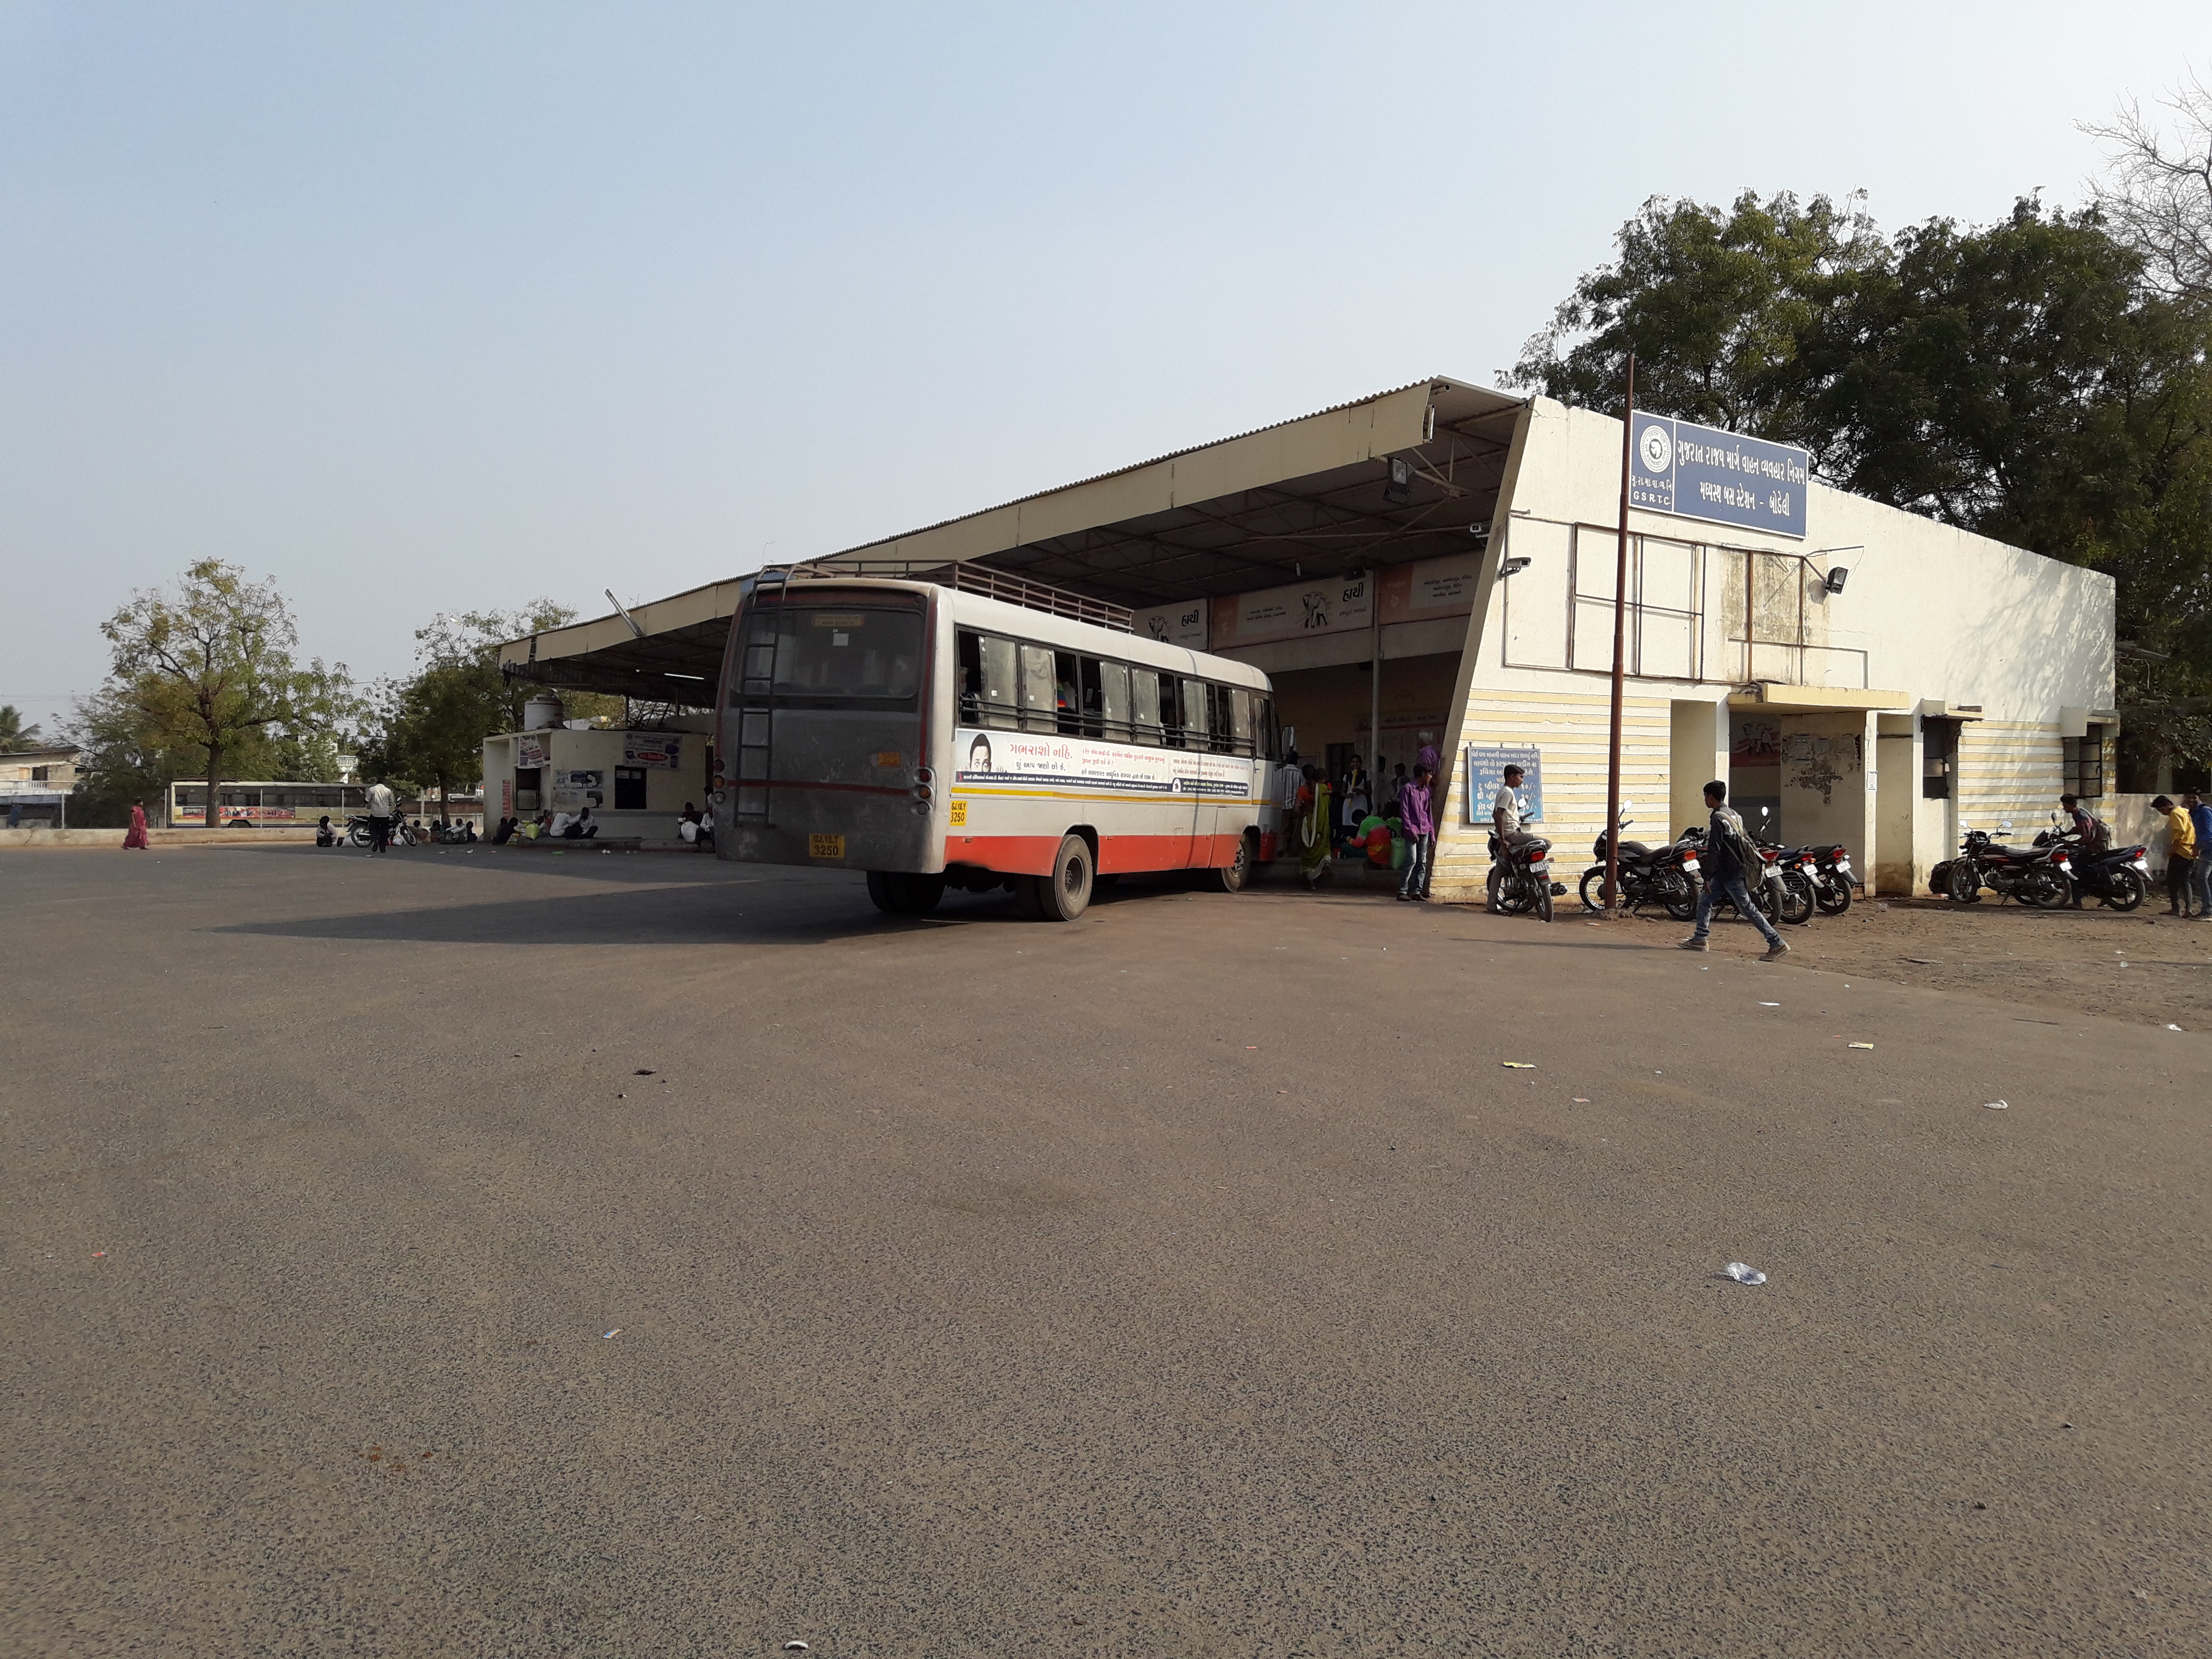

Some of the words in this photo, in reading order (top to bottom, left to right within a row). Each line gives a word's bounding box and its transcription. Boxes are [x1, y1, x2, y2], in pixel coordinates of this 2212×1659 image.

[1675, 439, 1706, 468] ગુજરાત
[1703, 445, 1726, 470] રાજય
[1725, 442, 1743, 474] માર્ગ
[1740, 452, 1761, 477] વાહન
[1759, 455, 1785, 482] વ્યવહાર
[1784, 454, 1806, 488] નિગમ
[1629, 474, 1673, 494] ગુ.રા.મા.વા.વ્ય.નિ
[1631, 490, 1672, 507] G.S.R.T.C.
[1693, 479, 1723, 507] મઘ્યસ્થ
[1722, 484, 1736, 507] બસ
[1735, 482, 1758, 511] સ્ટેશન
[1766, 485, 1793, 519] બોડેલી
[1340, 581, 1366, 603] હાથી
[1179, 608, 1200, 628] હાથી
[1006, 739, 1052, 759] ગભ૨ાશો
[1050, 742, 1077, 762] નહિ.
[950, 810, 968, 822] 3250
[810, 842, 840, 858] 3250